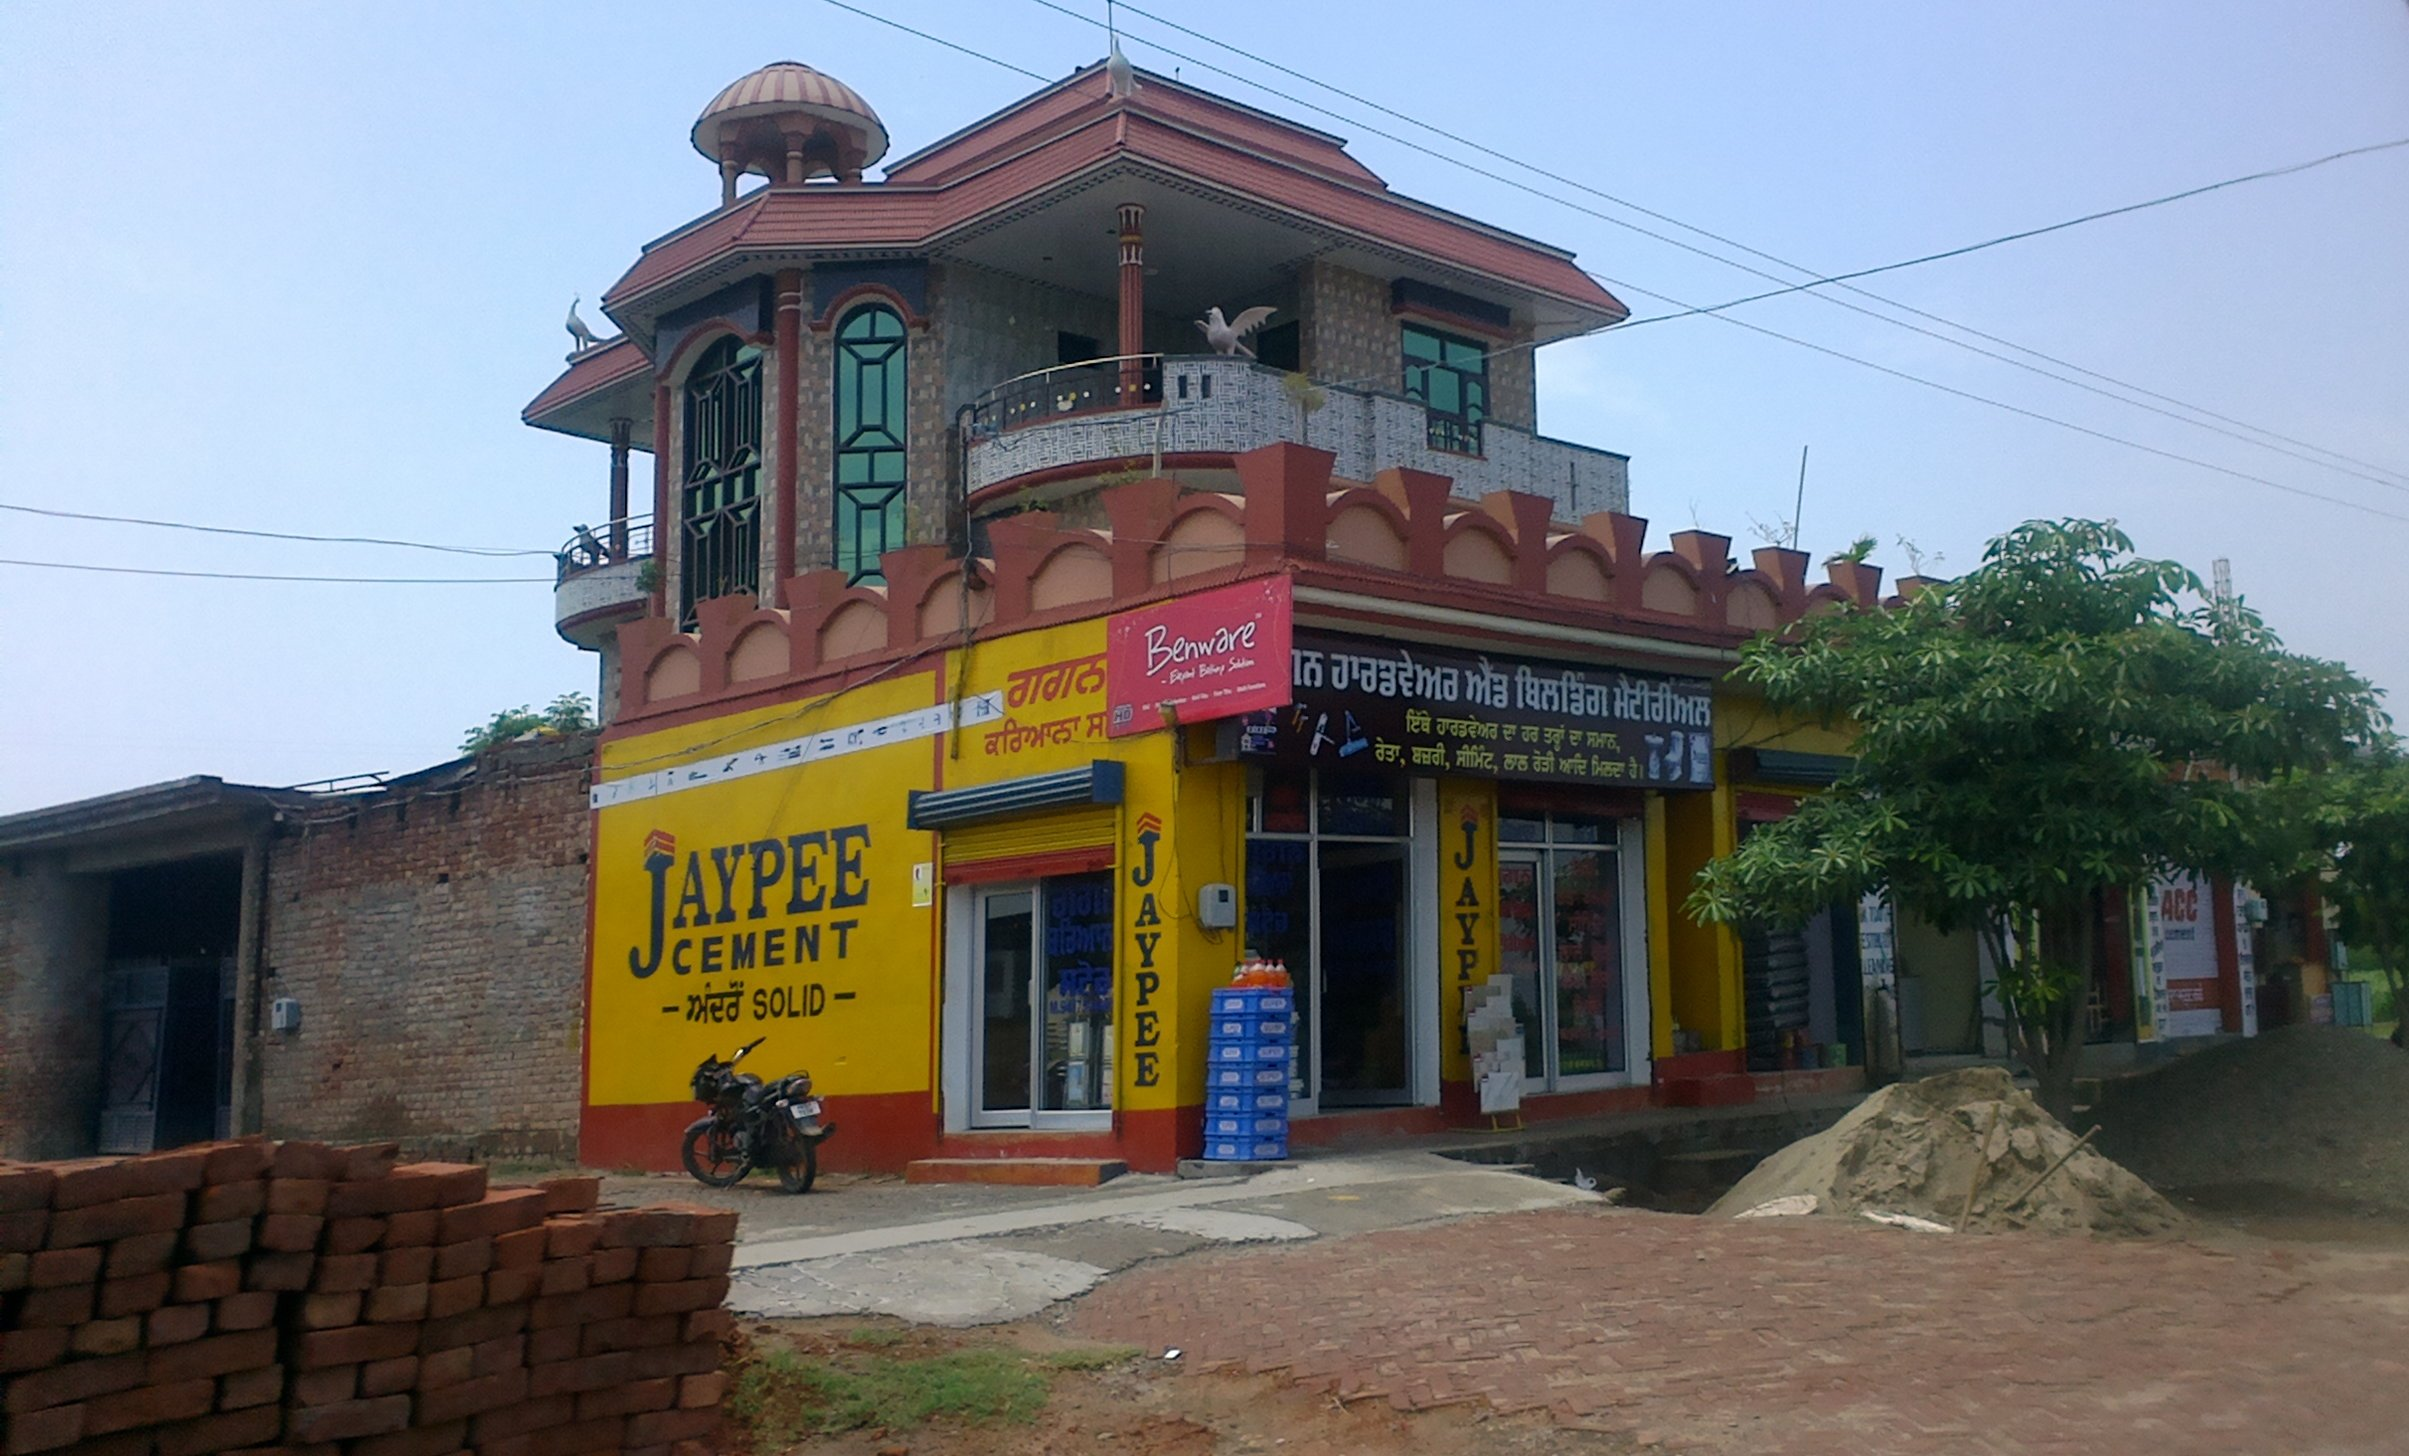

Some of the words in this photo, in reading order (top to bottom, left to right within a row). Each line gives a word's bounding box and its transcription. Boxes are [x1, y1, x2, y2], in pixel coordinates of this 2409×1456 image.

[1001, 647, 1107, 713] ਗਗਨ
[1141, 619, 1265, 683] Benware
[1301, 642, 1328, 693] ਨ
[1327, 639, 1463, 708] ਹਾਰਡਵੇਅਰ
[1461, 651, 1514, 715] ਐੱਡ
[1510, 660, 1611, 725] ਬਿਲਡਿੰਗ
[1610, 671, 1715, 730] ਮੈਟੀਰੀਅਲ
[975, 709, 1083, 765] ਕਰਿਆਨਾ
[1082, 705, 1109, 747] ਸ
[1371, 732, 1407, 769] ਰੇਤਾ,
[1401, 705, 1435, 741] ਇੱਥੇ
[1405, 737, 1451, 771] ਬਜ਼ਰੀ,
[1432, 709, 1501, 745] ਹਾਰਡਵੇਅਰ
[1450, 741, 1499, 776] ਸੀਮਿੰਟ
[1499, 715, 1519, 747] ਦਾ
[1499, 749, 1533, 777] ਲਾਲ
[1517, 716, 1542, 750] ਹਰ
[1527, 745, 1557, 776] ਰੋੜੀ
[1541, 720, 1568, 753] ਤਰ੍ਹਾਂ
[1557, 748, 1589, 780] ਆਦਿ
[1567, 720, 1584, 750] ਦਾ
[1583, 725, 1627, 752] ਸਮਾਨ,
[1588, 753, 1627, 783] ਮਿਲਦਾ
[1627, 751, 1643, 787] ਹੈ1
[619, 815, 880, 991] JAYPEE
[1446, 819, 1489, 981] JAYP
[2157, 883, 2211, 927] ACC
[665, 915, 863, 977] CEMENT
[1126, 826, 1169, 1095] JAYPEE
[683, 976, 748, 1029] ਅੰਦਰੋਂ
[748, 981, 832, 1028] SOLID